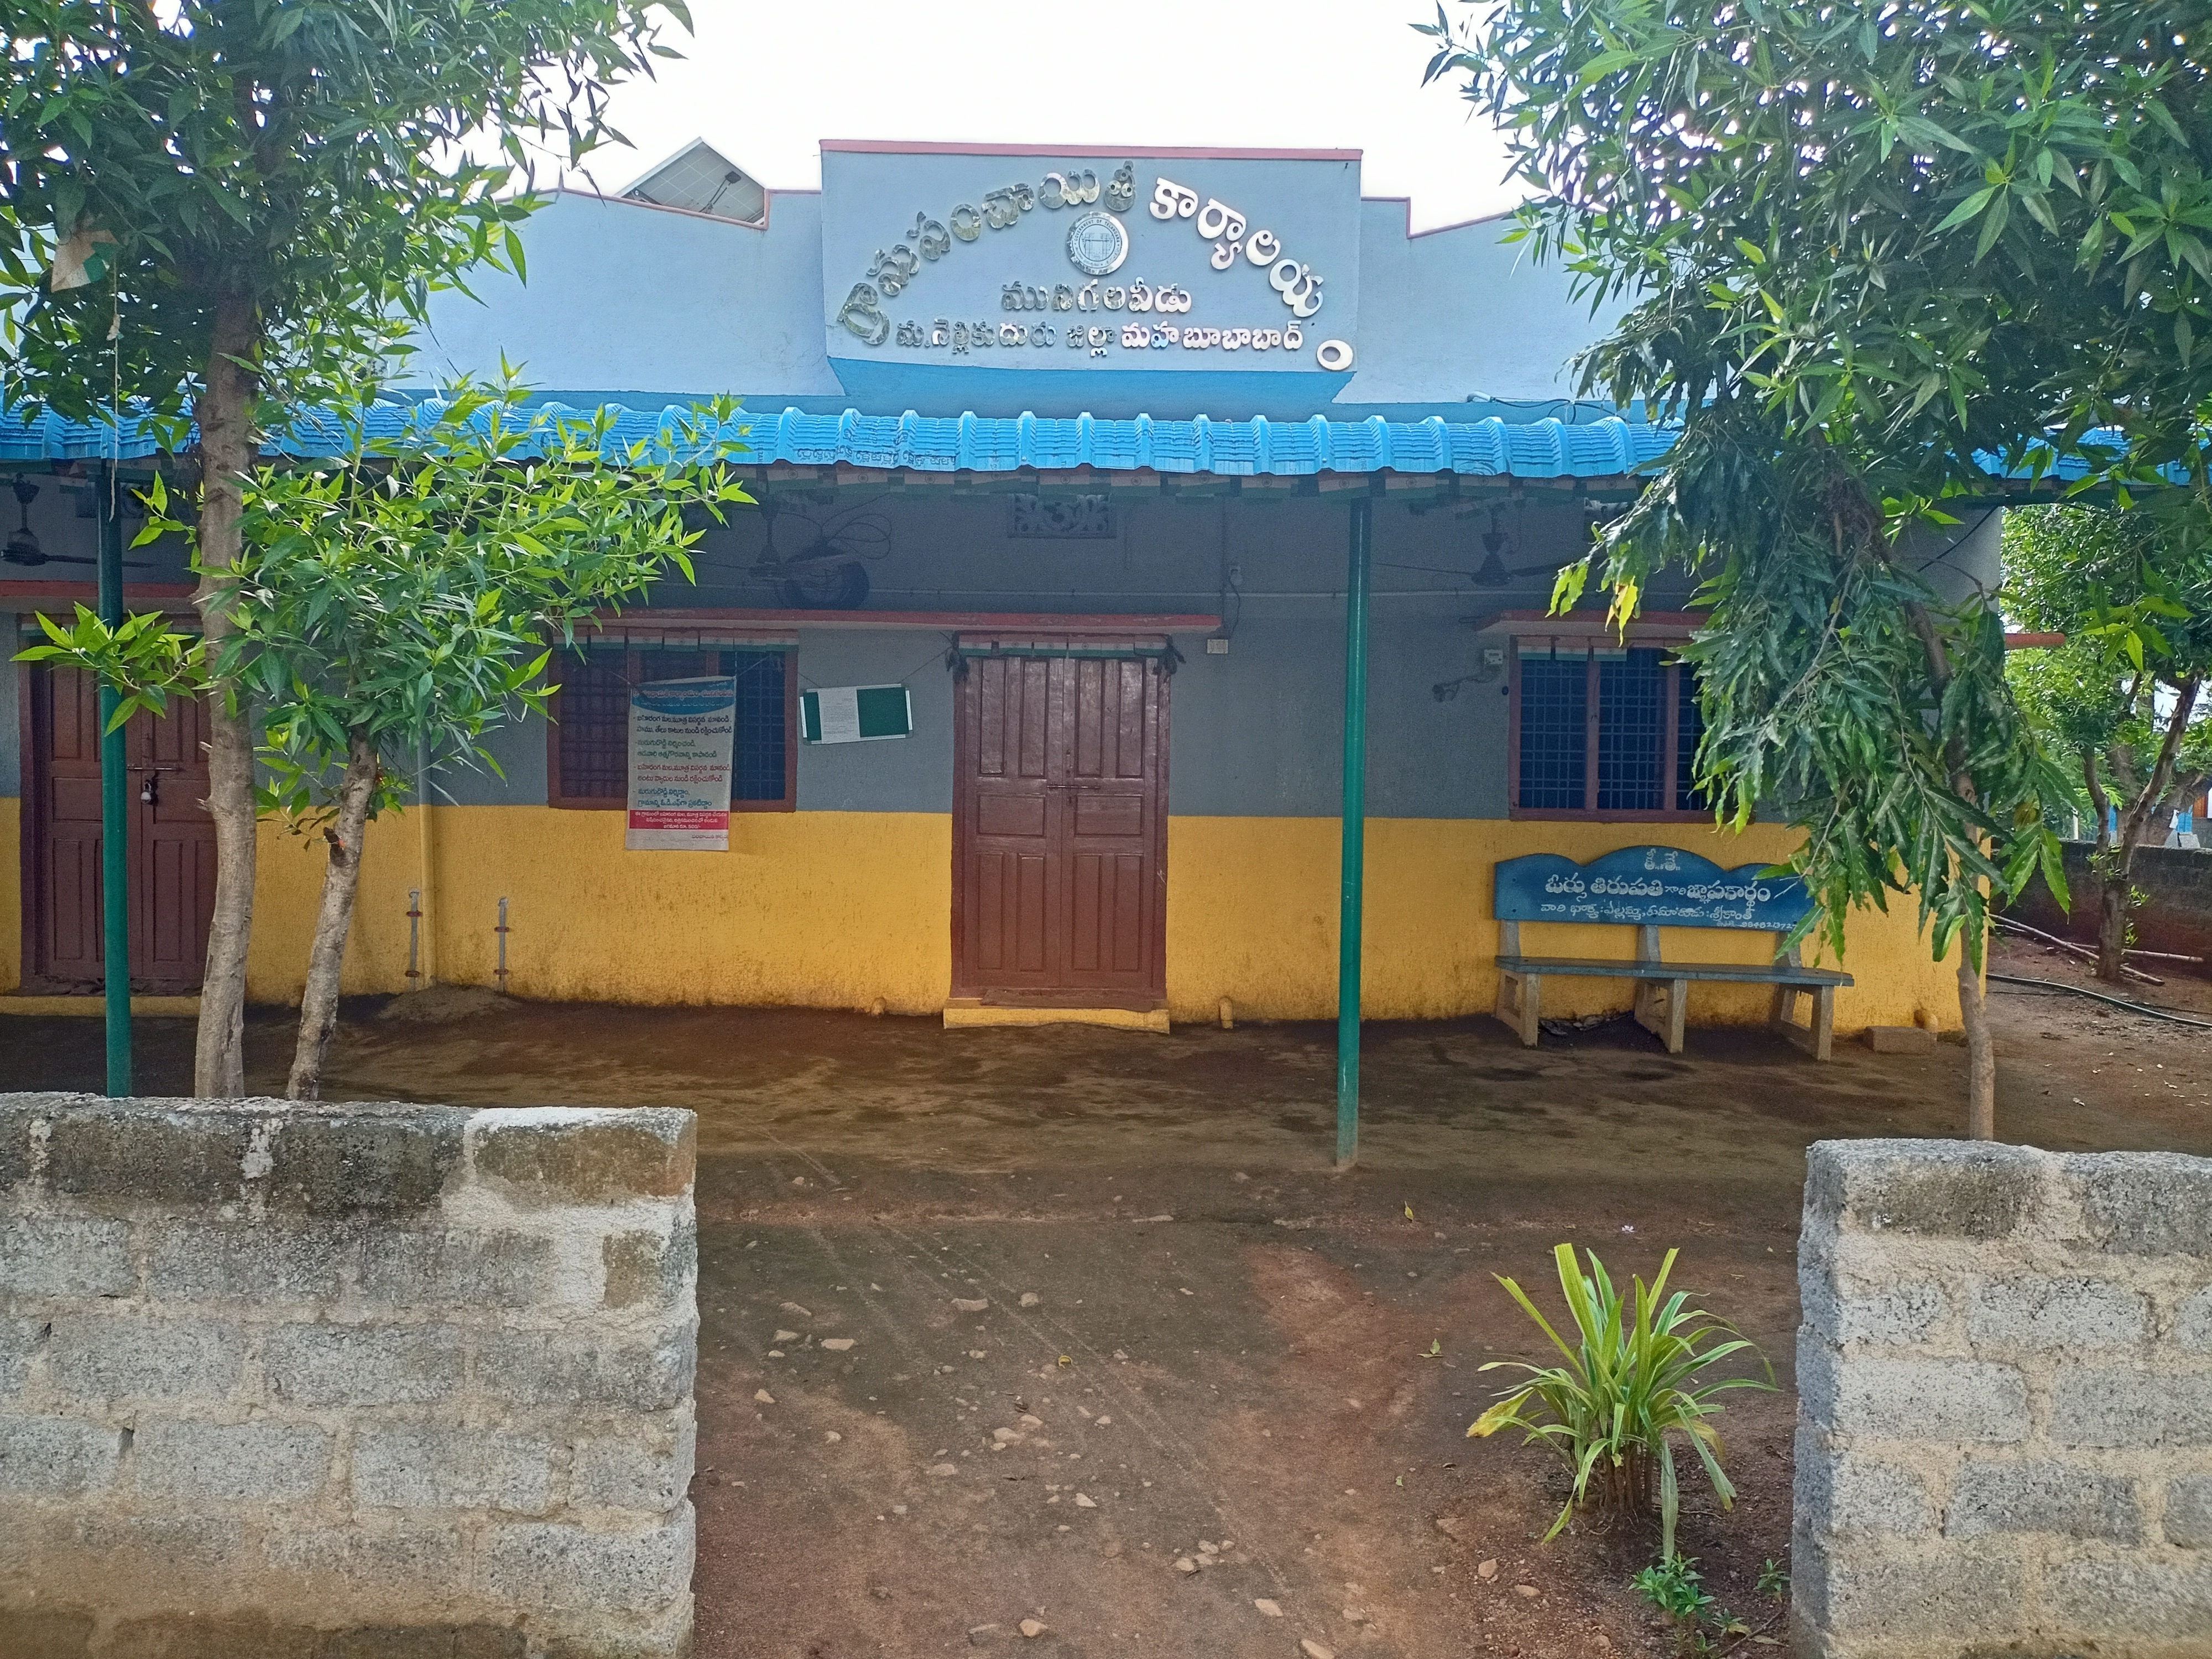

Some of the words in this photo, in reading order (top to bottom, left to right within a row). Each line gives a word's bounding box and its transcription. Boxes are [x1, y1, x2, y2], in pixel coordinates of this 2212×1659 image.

[834, 155, 1140, 349] గ్రామపంచాయతీ
[1146, 171, 1330, 325] కార్యాలయ
[999, 272, 1194, 317] మునిగలవీడు
[891, 311, 1061, 358] మా. నెల్లికుదురు
[1062, 318, 1185, 361] జిల్లా మహ
[1181, 317, 1307, 352] బూబాబాద్
[631, 723, 655, 734] పాయ
[660, 714, 707, 729] మలమూత్రవిసర్జన
[681, 721, 735, 738] నుండి రక్షించుకోండి
[705, 713, 732, 725] మాపండి.
[635, 735, 698, 750] -మురుగుదొడ్డి నిర్మించండి..
[656, 748, 695, 763] ఆత్మగౌరవాన్ని
[687, 747, 720, 761] కాపాడండి
[659, 761, 691, 775] మలమూత్ర
[690, 763, 710, 776] విసర్జన
[707, 762, 733, 774] మానండి
[635, 773, 656, 784] అంటు
[652, 774, 675, 786] వ్యాధుల
[673, 773, 725, 786] నుండి రక్షించుకోండి.
[635, 784, 693, 800] మరుగుదొడ్డి నిర్మిద్దాం.
[685, 795, 715, 812] ప్రకటిద్దాం
[1540, 869, 1590, 904] ఓర్సు
[1589, 873, 1666, 899] తిరుపతి
[1665, 874, 1773, 913] గారి జ్ఞాపకార్థం
[1537, 901, 1568, 915] వారి
[1568, 899, 1603, 922] భార్య:
[1604, 895, 1645, 923] ఎల్లమ్మ,
[1645, 900, 1707, 919] కుమారుడు
[1709, 901, 1757, 925] శ్రీకాంత్